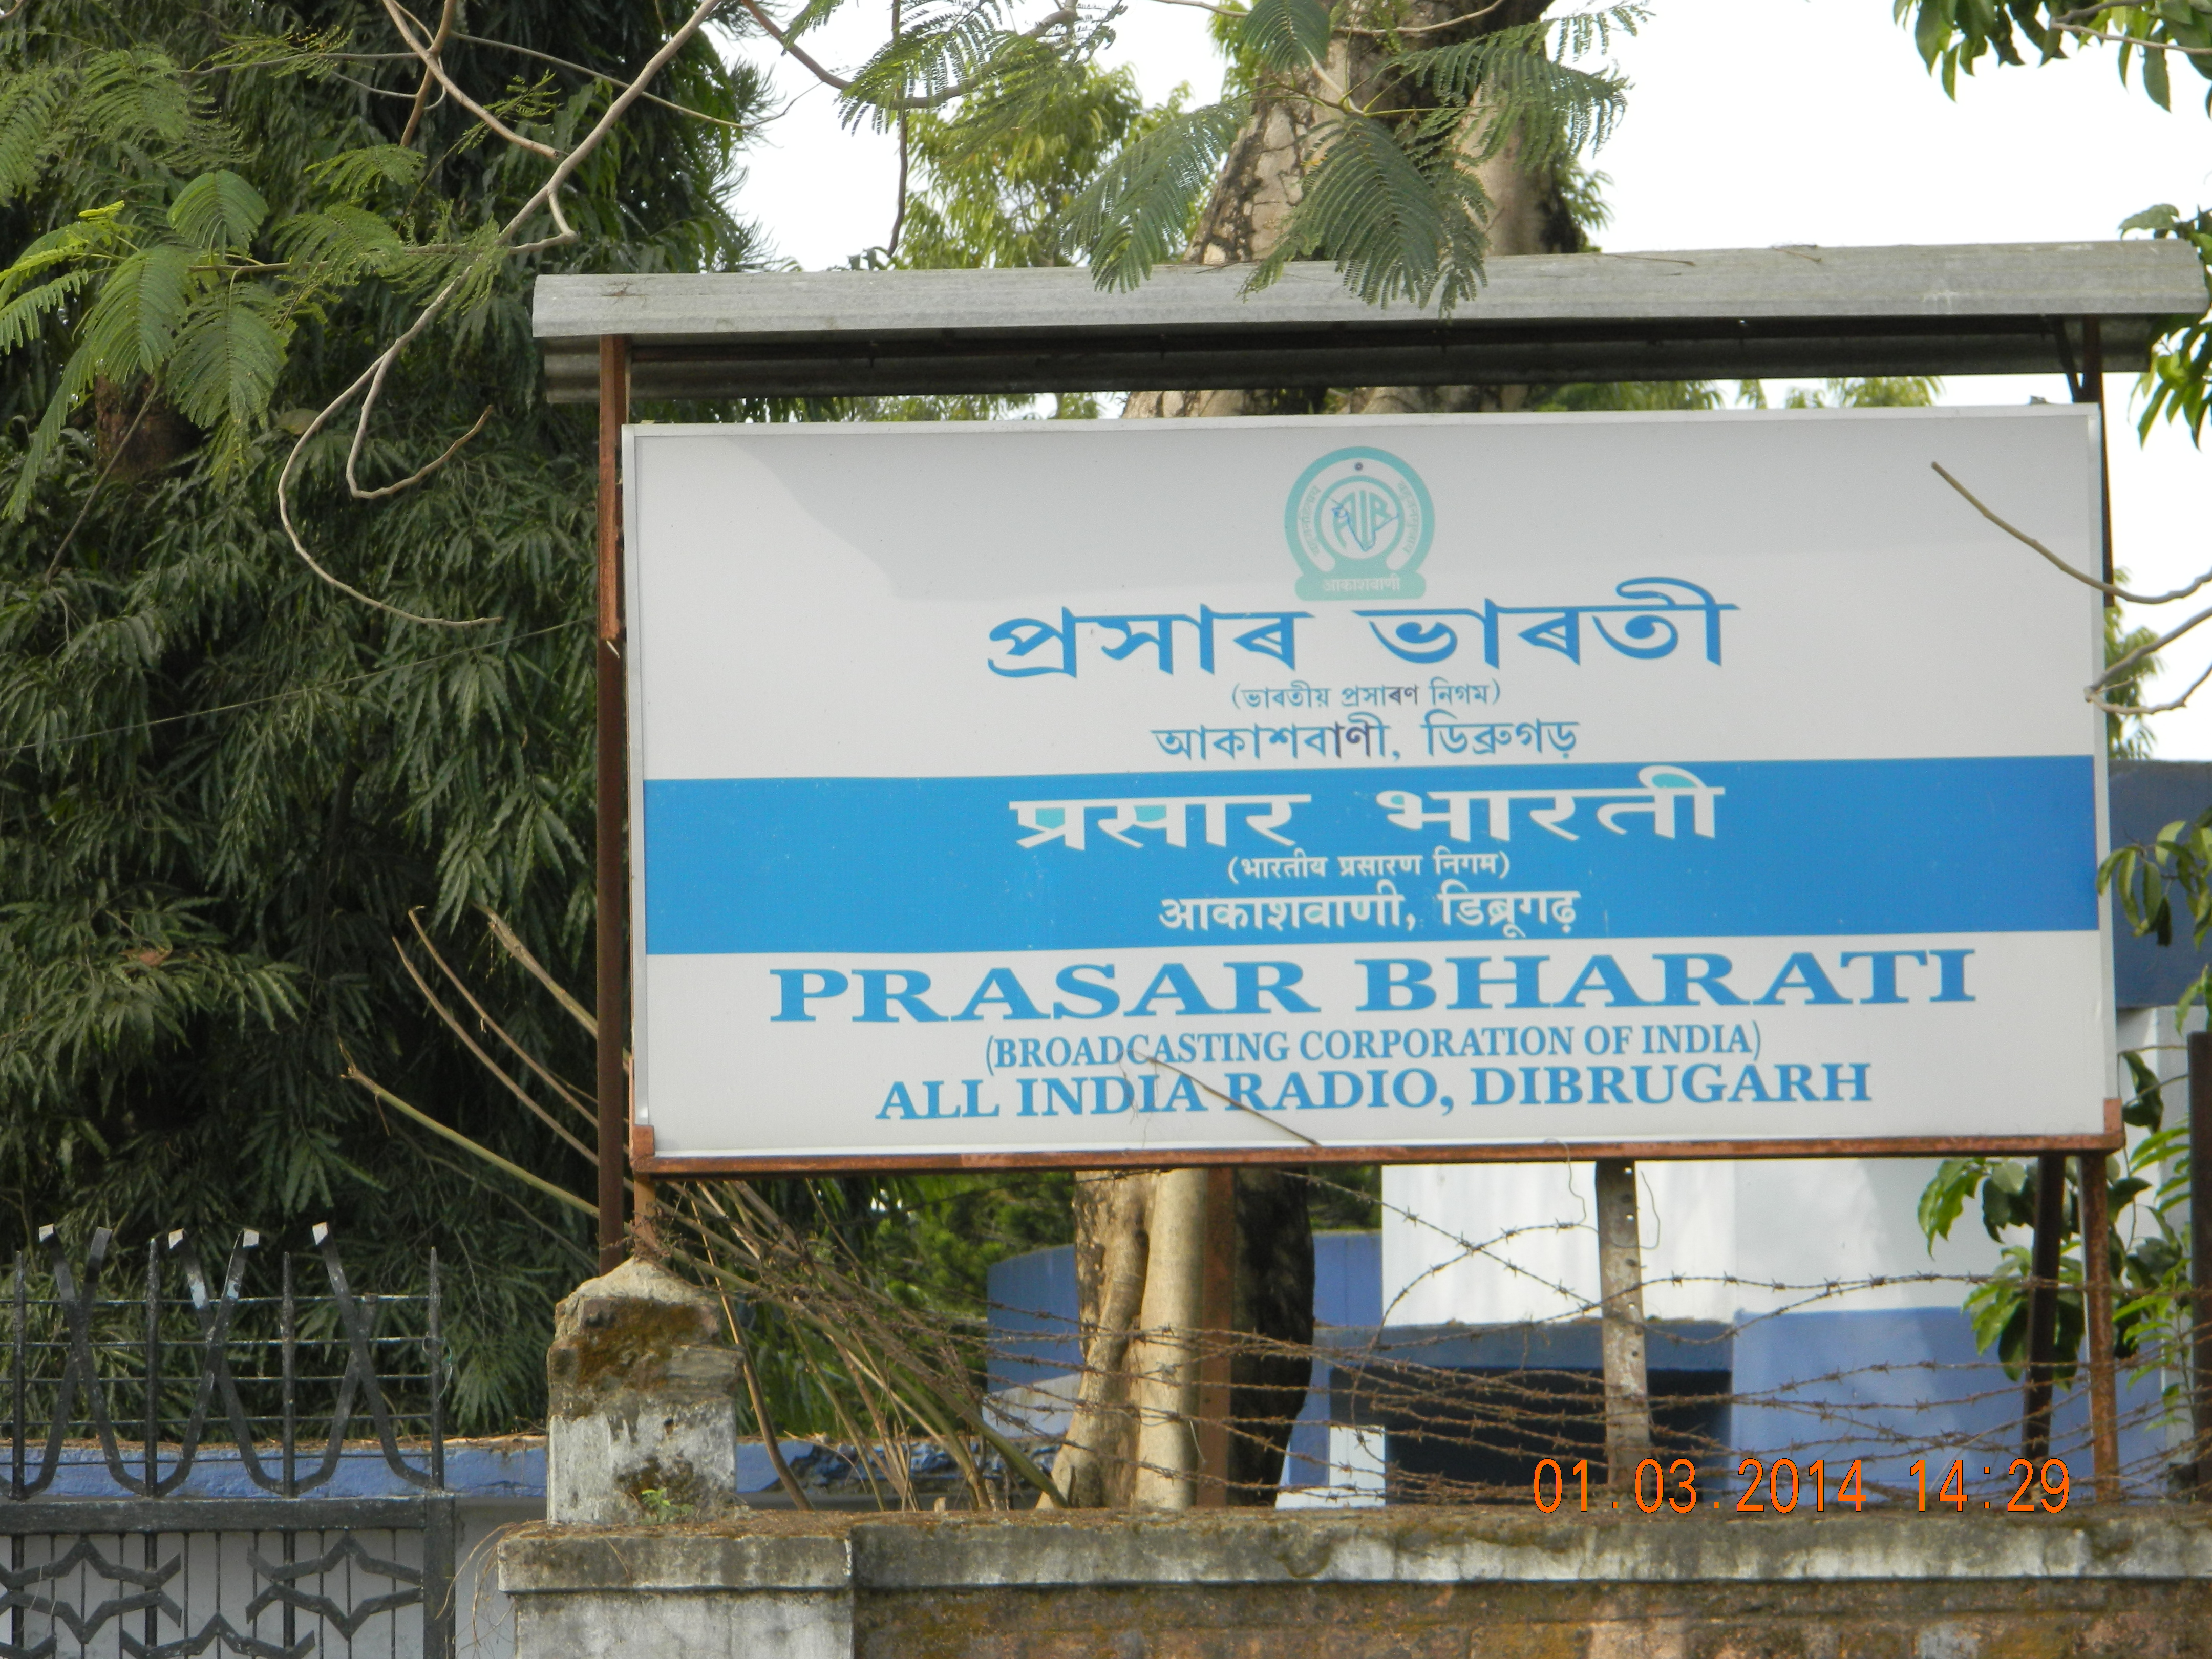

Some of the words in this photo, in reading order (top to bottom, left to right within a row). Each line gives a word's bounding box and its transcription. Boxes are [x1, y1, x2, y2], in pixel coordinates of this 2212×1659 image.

[983, 596, 1315, 690] প্ৰসাৰ
[1349, 559, 1741, 676] ভাৰতী
[1236, 675, 1336, 714] ভাৰতীয়
[1343, 676, 1420, 710] প্ৰসাৰণ
[1418, 668, 1497, 712] নিগম
[1141, 700, 1394, 768] আকাশবাণী
[1413, 701, 1585, 763] ডিব্ৰুগড়
[1004, 786, 1315, 855] प्रसार
[1371, 757, 1730, 846] भारती
[1238, 843, 1334, 885] भारतीय
[1333, 845, 1429, 881] प्रसारण
[1426, 836, 1505, 879] निगम)
[1152, 876, 1412, 938] आकाशवाणी
[1428, 865, 1589, 944] डिब्रूगढ़
[766, 947, 1329, 1029] PRASAR
[1348, 937, 1983, 1018] BHARATI
[989, 1022, 1300, 1073] BROADCASTING
[1300, 1019, 1576, 1068] CORPORATION
[1576, 1019, 1637, 1061] OF
[1637, 1016, 1755, 1061] INDIA
[865, 1070, 1007, 1124] ALL
[1016, 1070, 1217, 1120] INDIA
[1217, 1059, 1448, 1120] RADIO
[1461, 1053, 1876, 1111] DIBRUGARH
[1526, 1444, 1871, 1519] 01.03.2014
[1906, 1442, 2079, 1518] 14:29